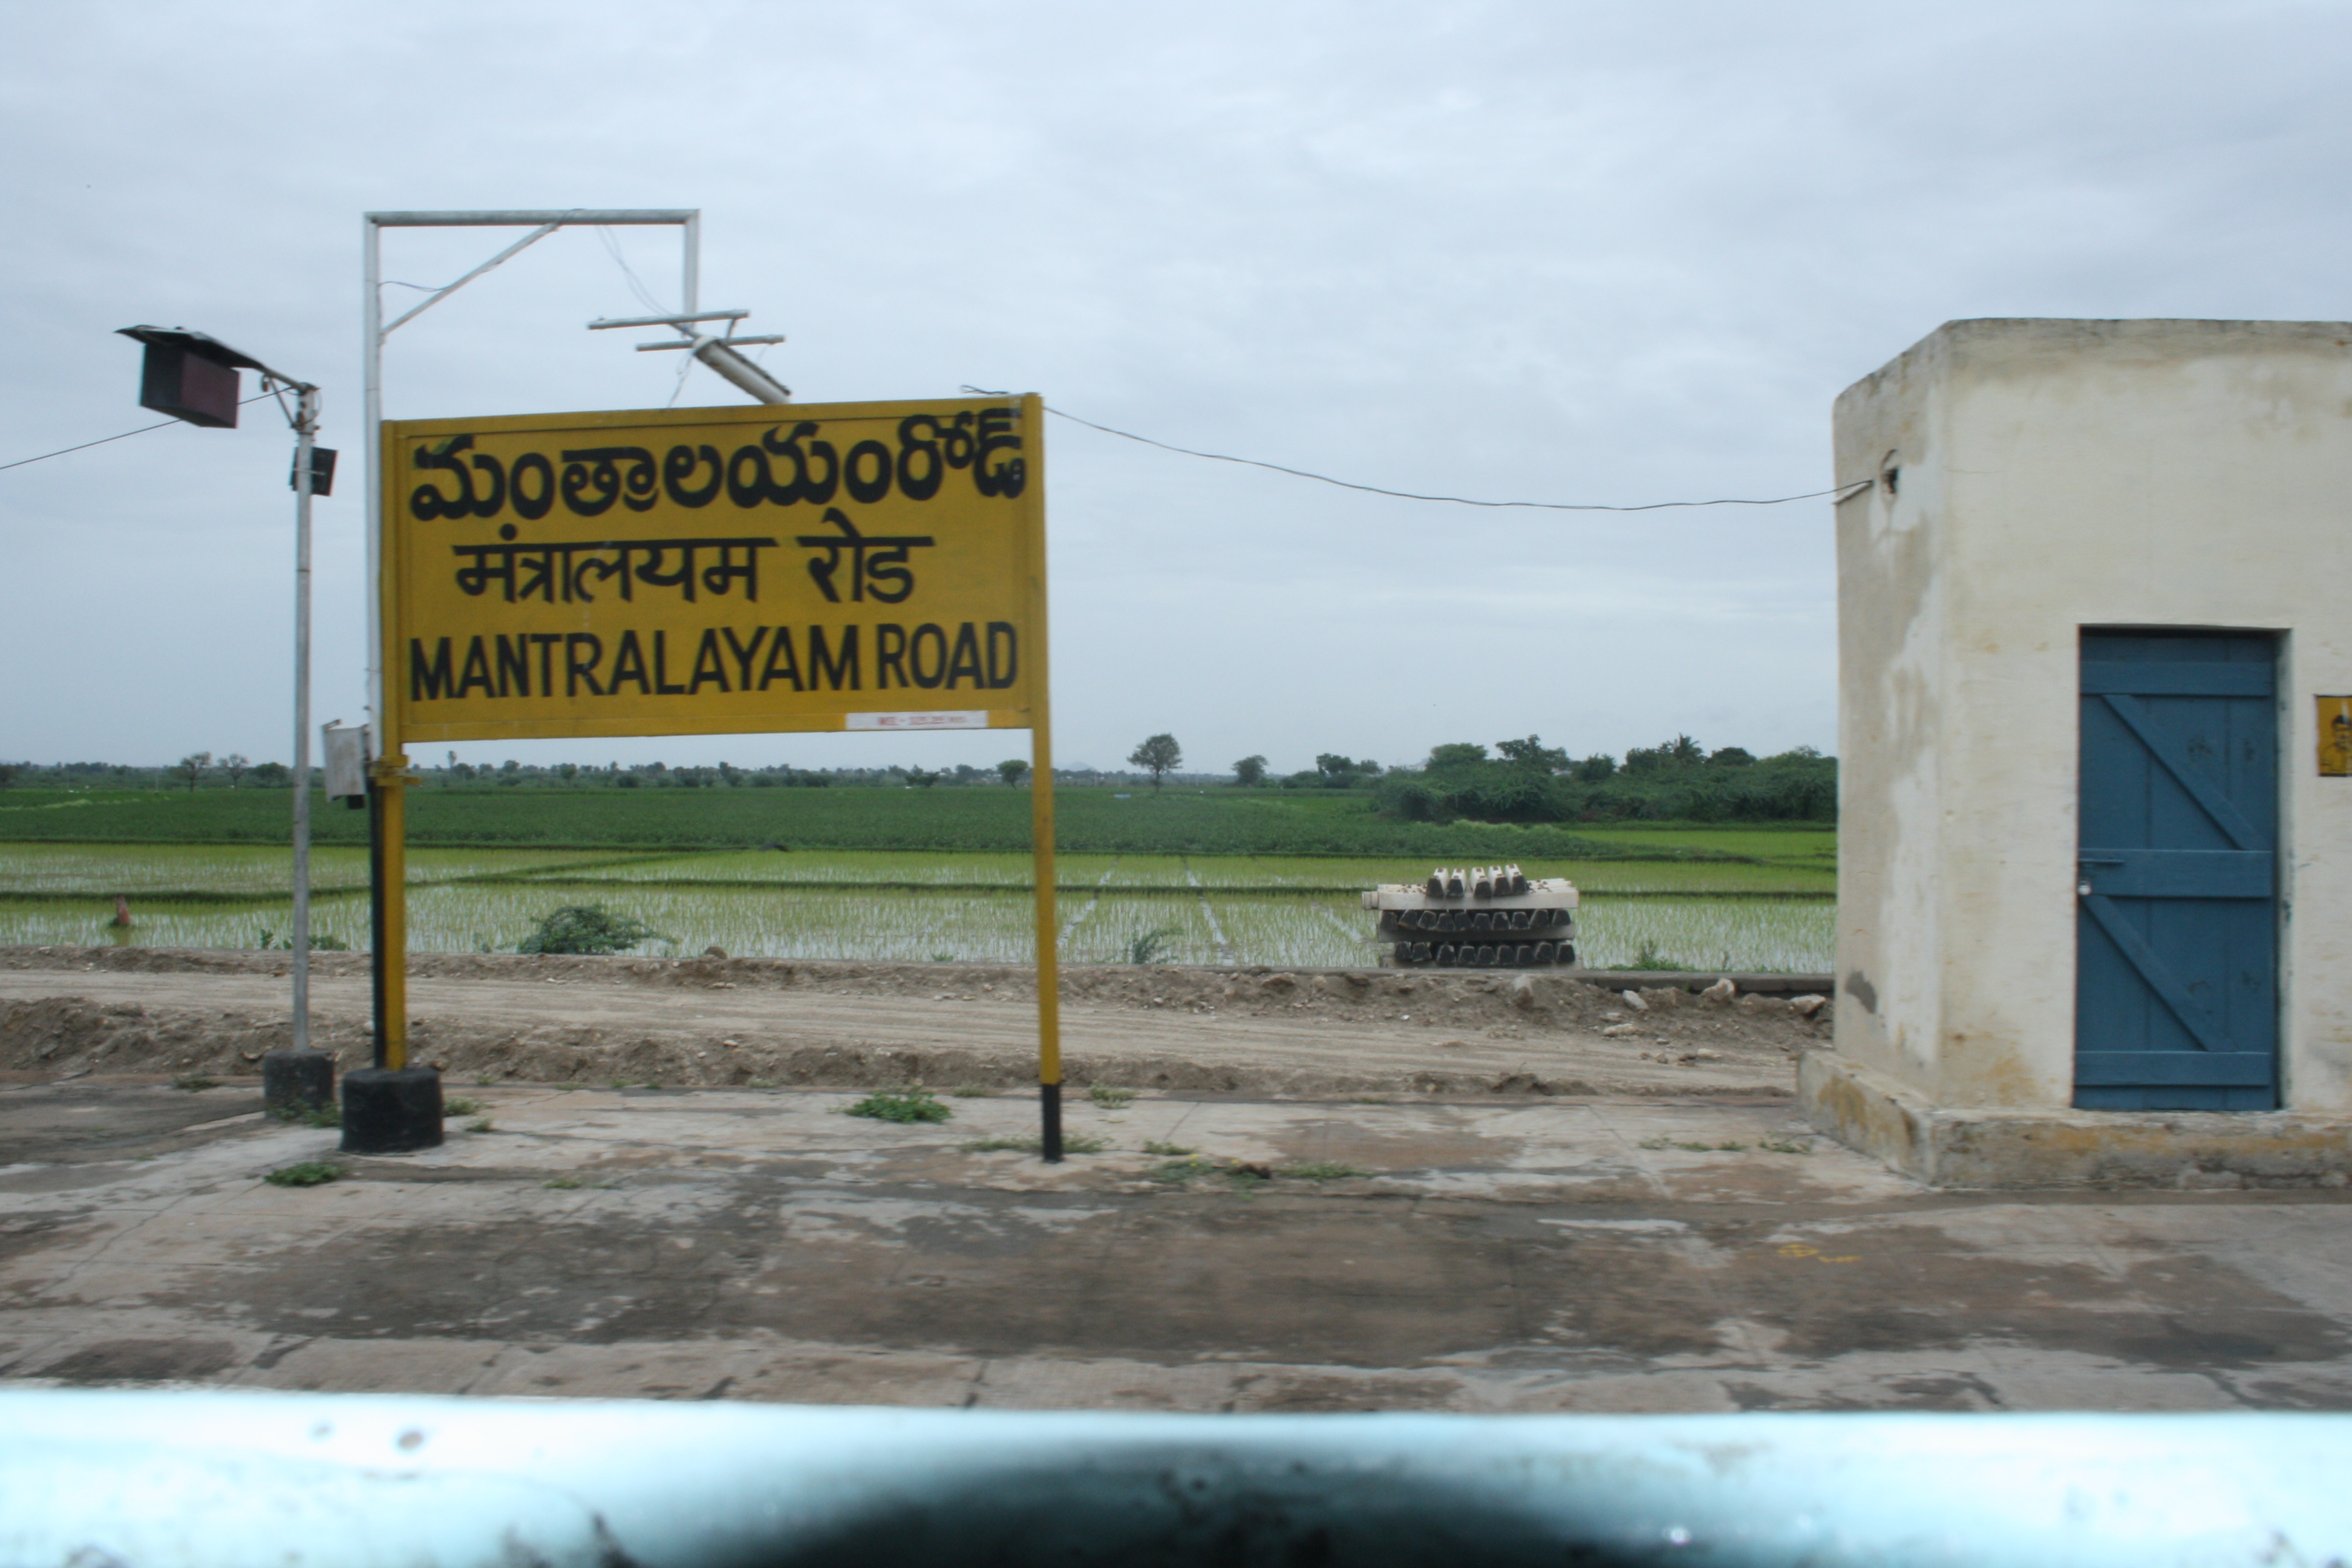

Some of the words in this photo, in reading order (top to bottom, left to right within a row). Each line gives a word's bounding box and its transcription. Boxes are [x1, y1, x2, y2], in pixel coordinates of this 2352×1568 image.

[400, 400, 1030, 526] మంత్రాలయంరోడ్
[441, 514, 786, 609] मंत्रलयम
[785, 503, 941, 610] रोड
[405, 621, 866, 704] MANTRALAYAM
[871, 616, 1023, 695] ROAD